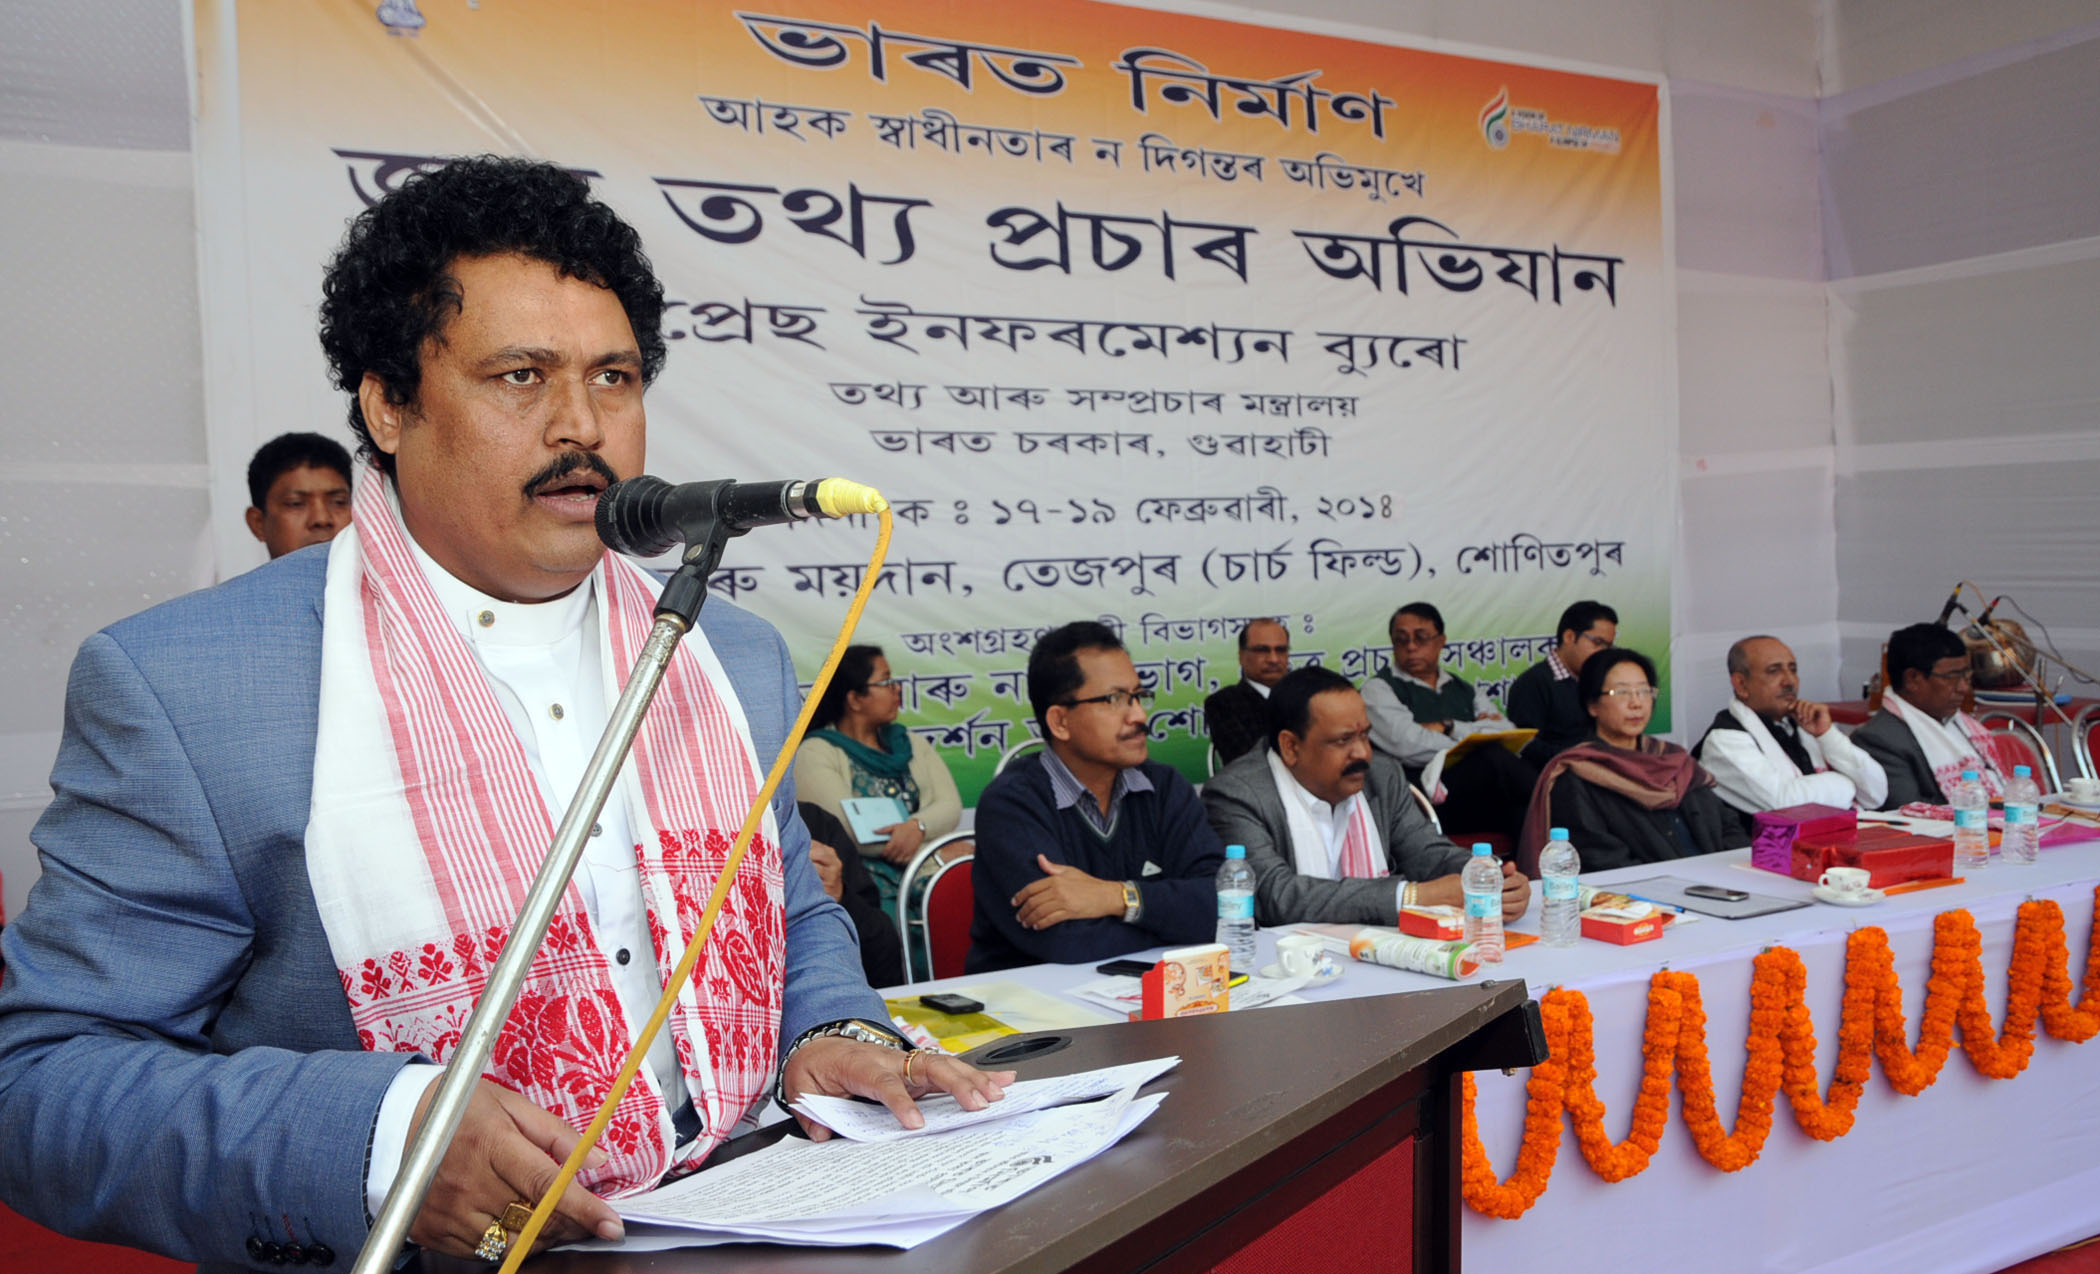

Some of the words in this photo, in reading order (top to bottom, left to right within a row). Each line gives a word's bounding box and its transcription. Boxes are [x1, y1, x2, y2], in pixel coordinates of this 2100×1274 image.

[733, 7, 1090, 102] ভাৰত
[1097, 33, 1401, 146] নির্মাণ
[691, 95, 855, 151] আহক
[862, 104, 1079, 176] স্বাধীনতাৰ
[1088, 133, 1127, 174] ন
[1127, 119, 1267, 187] দিগন্তৰ
[1278, 144, 1428, 209] অভিমুখে
[657, 166, 935, 273] তথ্য
[978, 196, 1256, 292] প্রচাৰ
[1286, 197, 1629, 315] অভিযান
[651, 288, 828, 356] প্ৰেছ
[846, 285, 1298, 366] ইনফৰমেশ্যন
[1314, 325, 1464, 382] ব্যুৰো
[831, 372, 927, 410] তথ্য
[938, 376, 1050, 417] আৰু
[1060, 379, 1229, 424] সম্প্ৰচাৰ
[1238, 386, 1359, 426] মন্ত্রালয়
[867, 418, 997, 463] ভাৰত
[1002, 417, 1159, 462] চৰকাৰ
[1185, 416, 1335, 463] গুৱাহাটী
[983, 493, 1124, 535] ১৭-১৯
[1133, 483, 1288, 528] ফেব্ৰুৱাৰী
[1311, 483, 1397, 524] ২০১৪
[785, 547, 961, 607] ময়দান
[994, 544, 1192, 606] তেজপুৰ
[1202, 540, 1294, 592] (চাৰ্চ
[1309, 533, 1414, 587] ফিল্ড
[1447, 522, 1629, 579] শোণিতপুৰ
[896, 621, 1034, 658] অংশগ্রহ
[1128, 607, 1251, 646] বিভাগস
[1429, 628, 1554, 671] সঞ্চালক